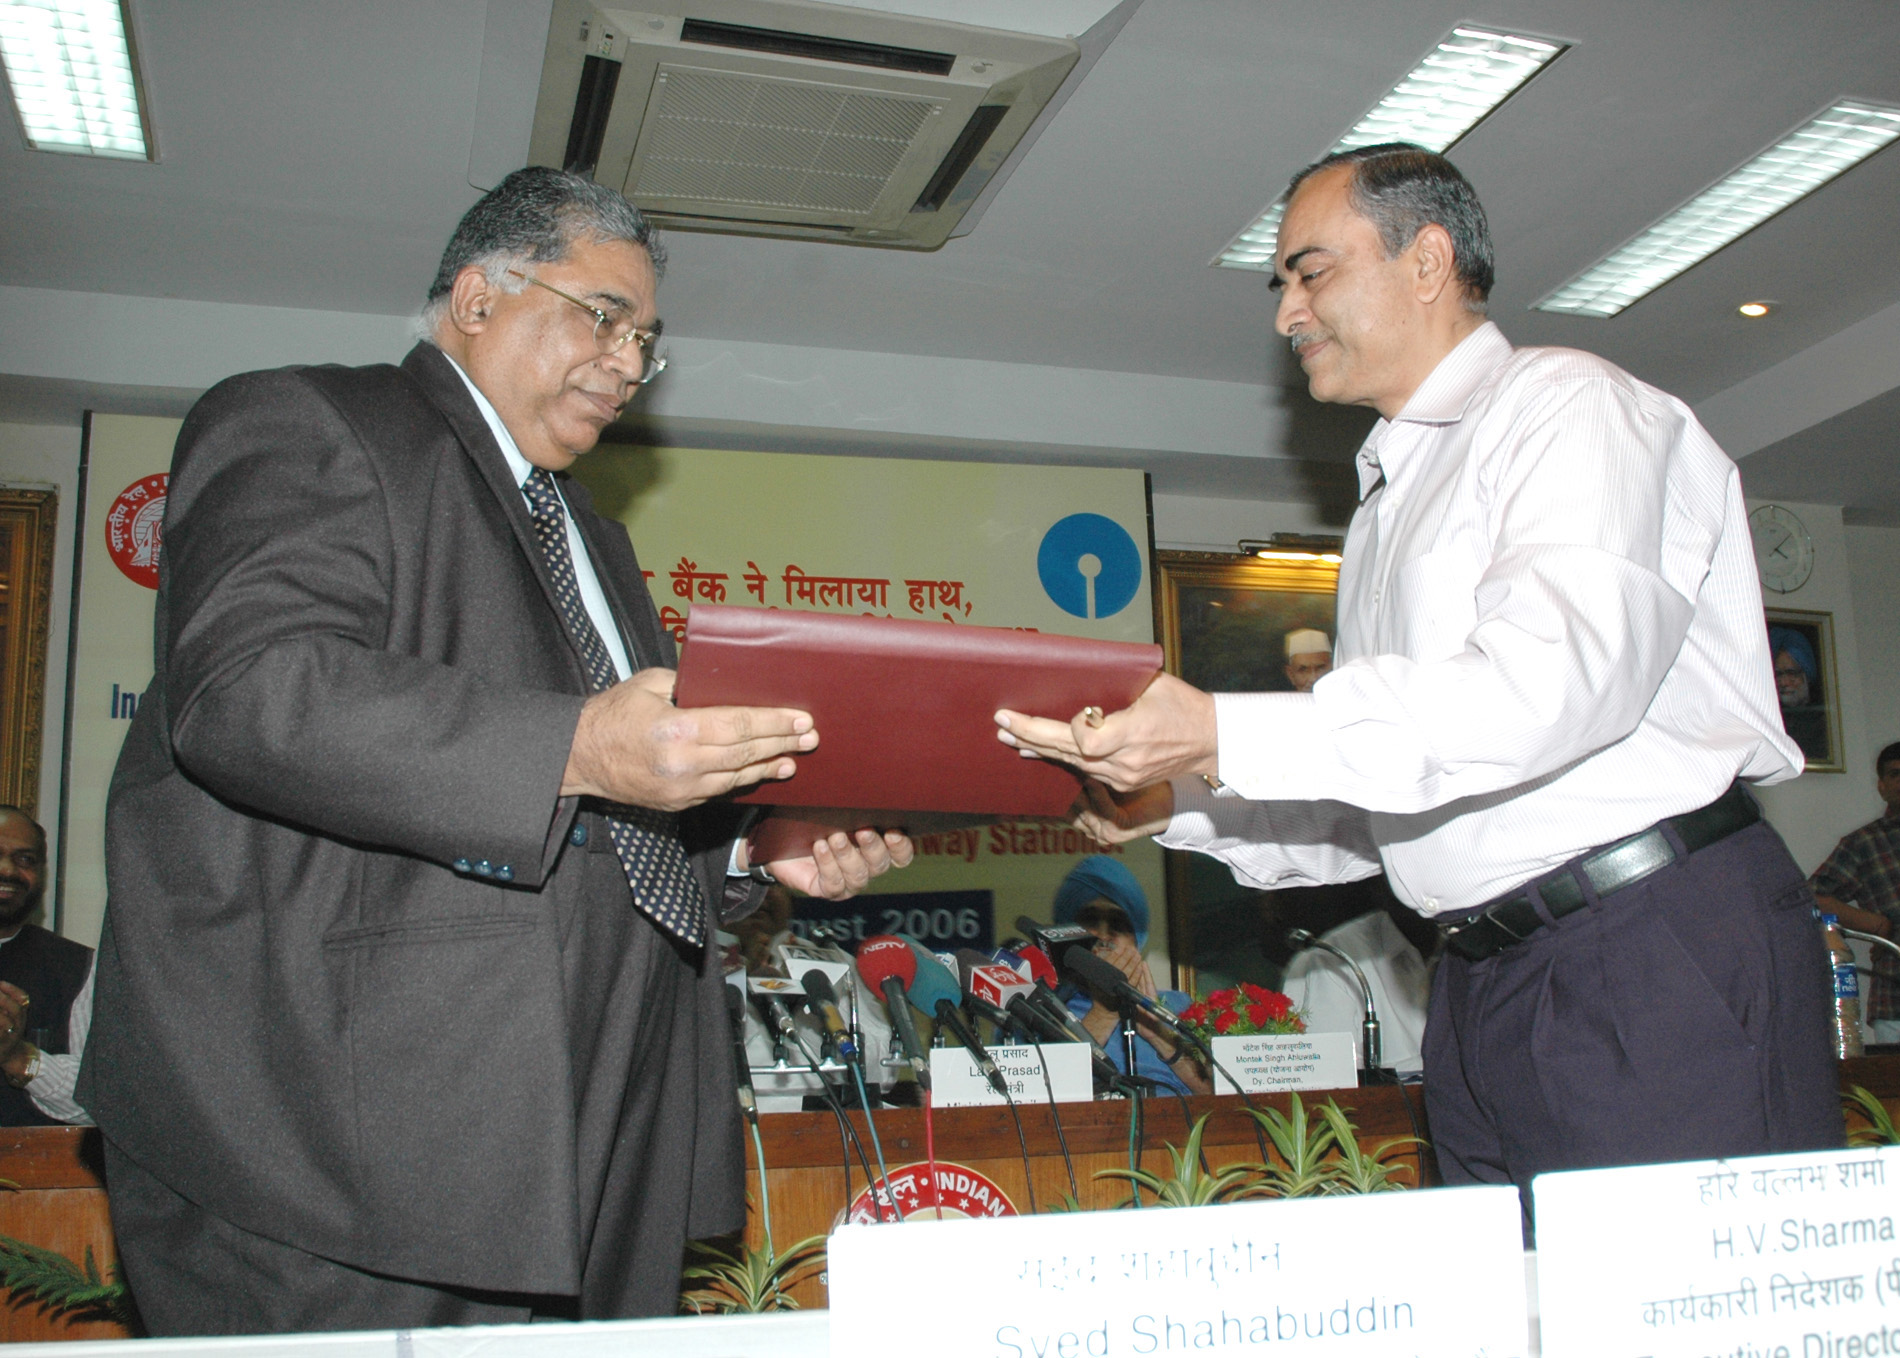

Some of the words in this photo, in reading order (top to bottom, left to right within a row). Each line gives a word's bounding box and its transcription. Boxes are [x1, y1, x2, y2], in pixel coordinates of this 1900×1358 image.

[117, 479, 152, 508] रेल
[109, 496, 130, 554] भारतीय
[665, 547, 733, 605] बैंक
[739, 551, 775, 606] नेे
[777, 553, 895, 610] मिलाया
[904, 570, 969, 616] हाथ
[981, 811, 1131, 862] Stations.
[870, 893, 984, 956] 2006
[995, 1041, 1034, 1062] प्रसाद
[994, 1059, 1045, 1080] Prasad
[1231, 1053, 1267, 1070] Montek
[1234, 1035, 1266, 1055] मोटेस
[1237, 1060, 1275, 1082] उपाध्यक्ष
[1257, 1037, 1281, 1056] सिंह
[1259, 1046, 1290, 1068] Singh
[1265, 1057, 1298, 1079] योजना
[1268, 1033, 1319, 1054] आहलूवालिया
[1285, 1055, 1319, 1079] आयोग
[863, 1169, 923, 1213] रेल
[928, 1165, 1011, 1223] INDIAN
[1691, 1150, 1747, 1213] हरि
[1746, 1161, 1833, 1209] वल्‍लभ
[1831, 1141, 1891, 1202] शर्मा
[1006, 1232, 1109, 1299] सइट
[1115, 1226, 1294, 1301] शहाबुद्दीन
[1709, 1220, 1771, 1263] H.V
[1778, 1212, 1897, 1260] Sharma
[989, 1318, 1115, 1357] Sved
[1129, 1295, 1417, 1357] Shahabuddin
[1640, 1271, 1765, 1335] कार्यकारी
[1761, 1265, 1870, 1318] निदेशक